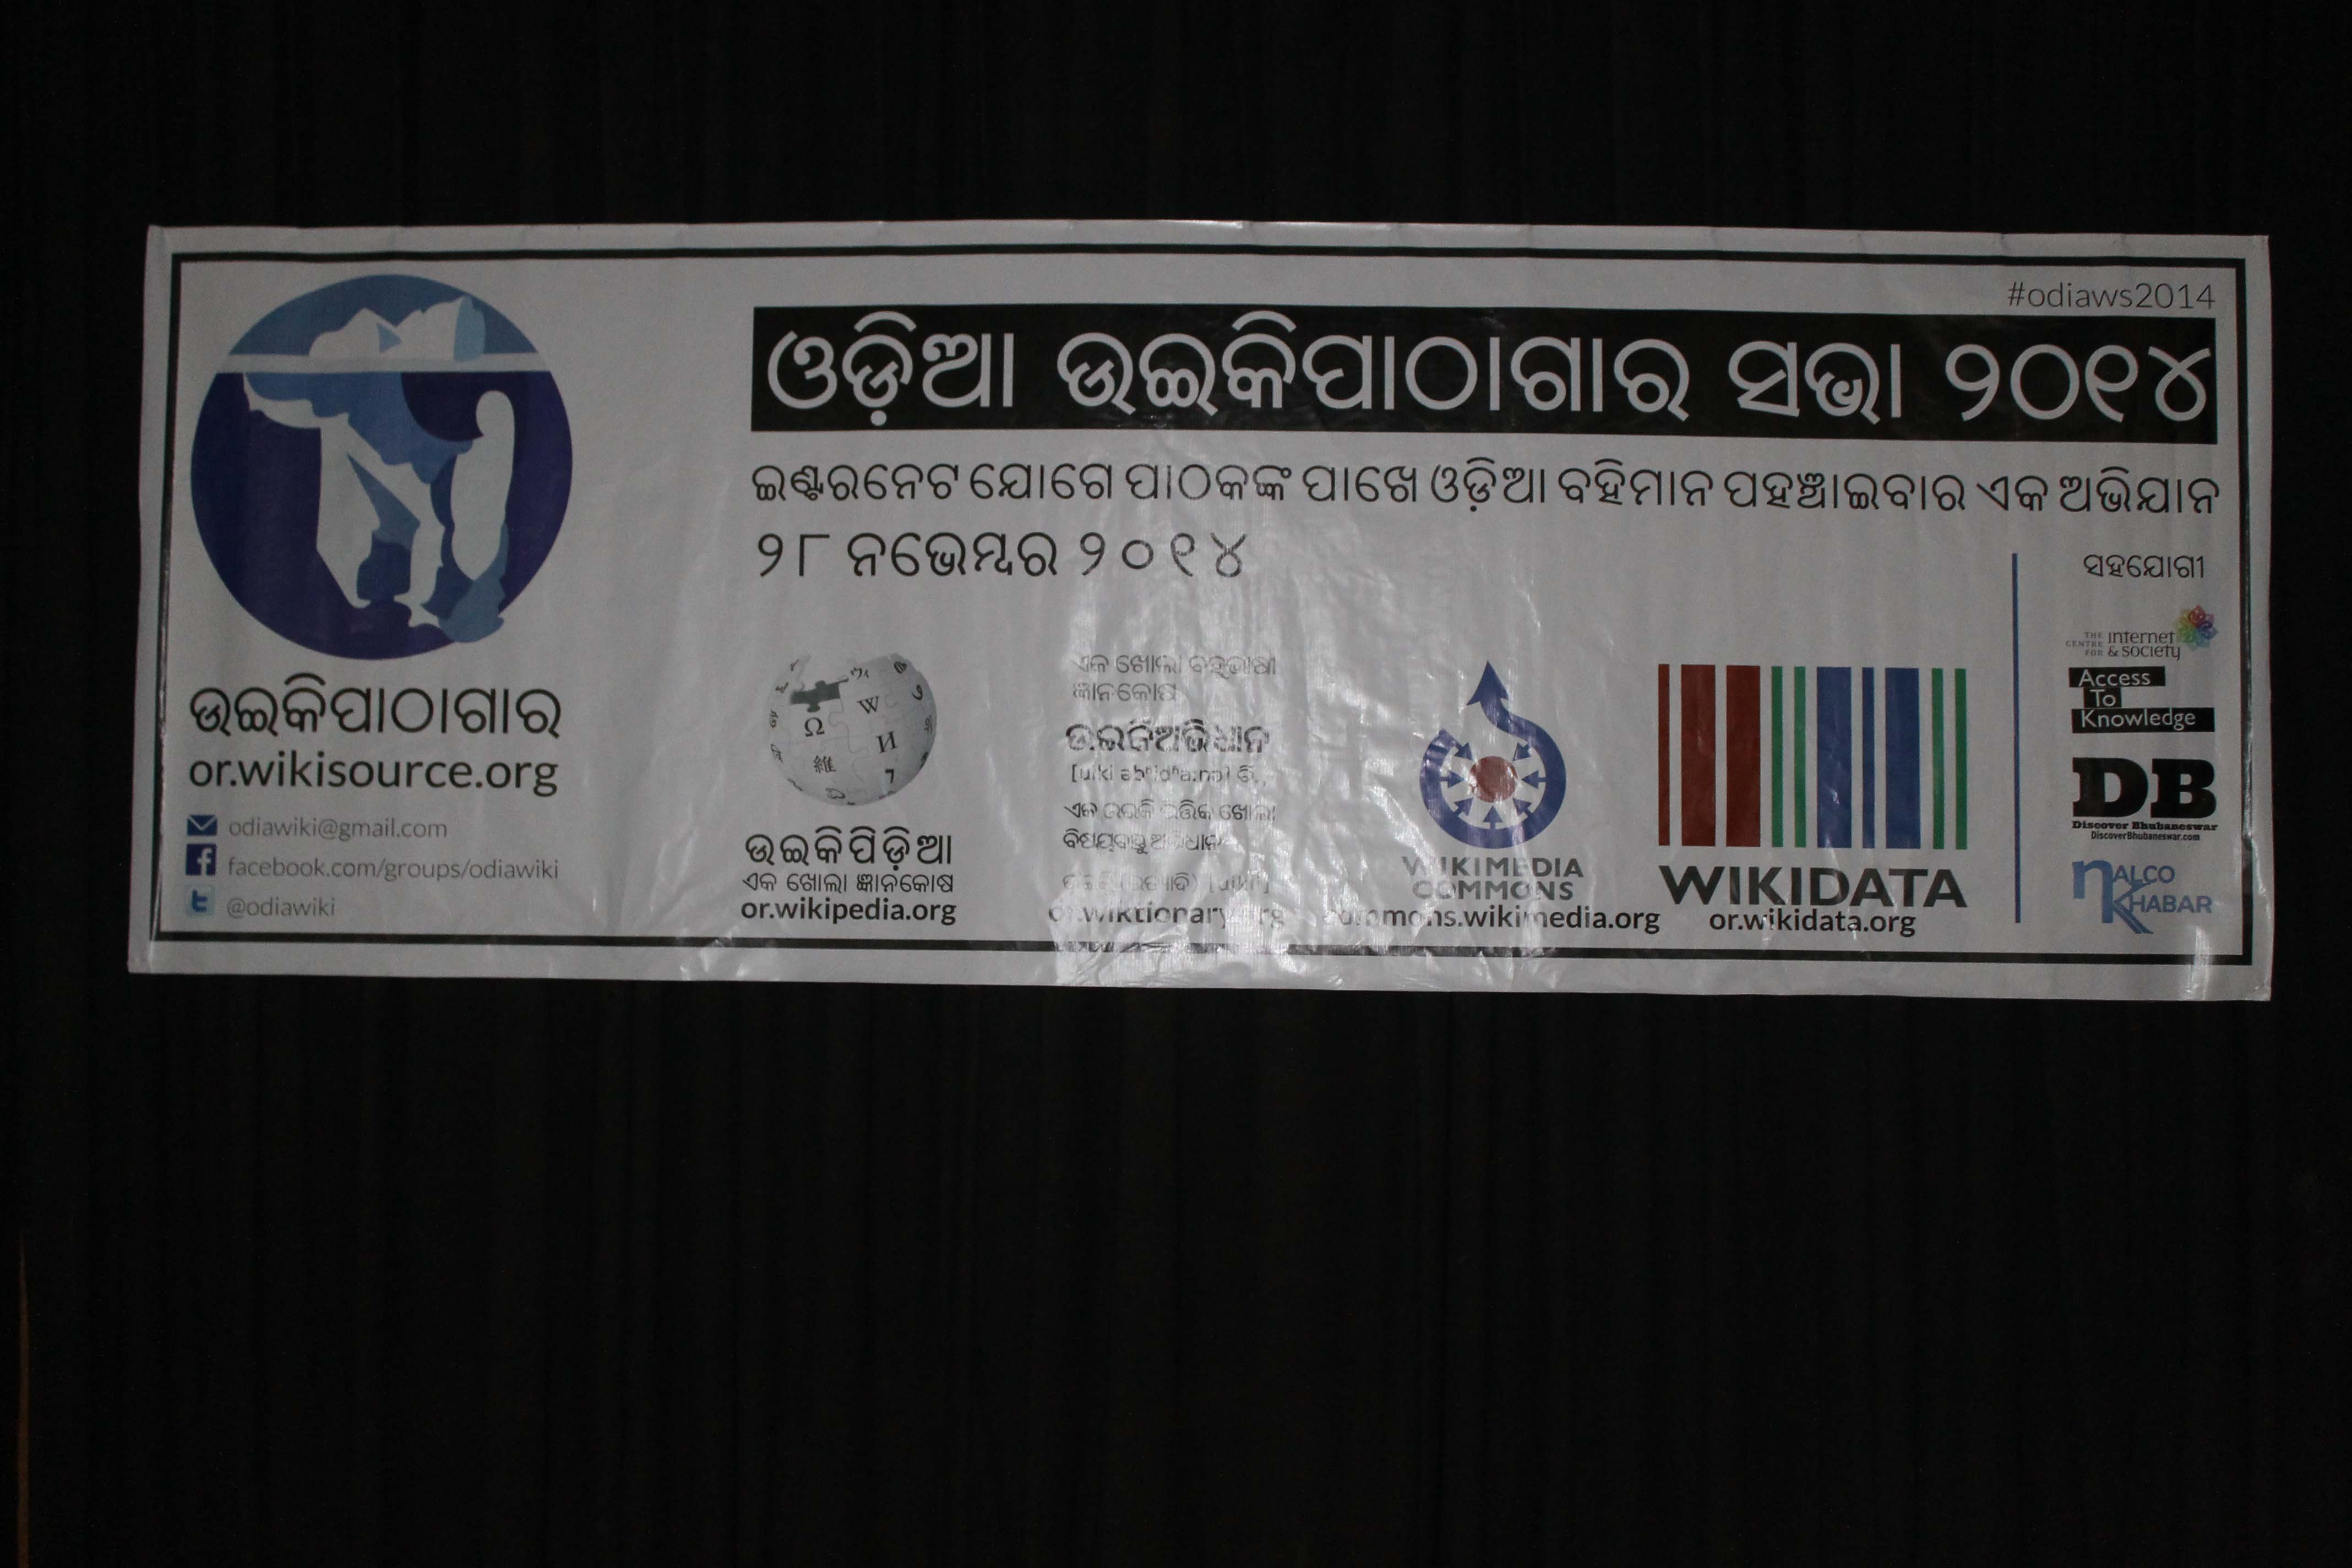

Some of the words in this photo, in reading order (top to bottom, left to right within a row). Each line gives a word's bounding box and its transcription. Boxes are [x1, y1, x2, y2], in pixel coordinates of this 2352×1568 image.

[1999, 273, 2220, 318] #odiaws2014
[760, 300, 1021, 433] ଓଡ଼ିଆ
[1046, 296, 1696, 426] ଉଇକିପାଠାଗାର
[1720, 330, 1908, 428] ସଭା
[1935, 336, 2218, 431] ୨୦୧୪
[747, 454, 965, 510] ଇଣ୍ଟରନେଟ
[961, 457, 1117, 507] ଯୋଗେ
[1115, 451, 1298, 505] ପାଠକଙ୍କ
[1296, 462, 1422, 505] ପାଖେ
[1426, 451, 1550, 521] ଓଡ଼ିଆ
[1554, 453, 1717, 515] ବ‌ହିମାନ
[1722, 461, 1977, 518] ପ‌ହଞ୍ଚାଇବାର
[1976, 465, 2054, 515] ଏକ
[2058, 465, 2222, 520] ଅଭିଯାନ
[750, 521, 1063, 581] ୨୮ ନଭେମ୍ବର
[1076, 526, 1253, 587] ୨୦୧୪
[2081, 550, 2211, 580] ସହ‌ଯୋଗୀ
[179, 662, 569, 739] ଉଇକିପାଠାଗାର
[1058, 647, 1187, 682] ଏକ ଖୋଲା
[1068, 669, 1183, 711] ଜ୍ଞାନକୋପ
[1063, 709, 1276, 762] ଉଇକିଅଭିଧାନ
[2087, 684, 2120, 714] To
[2100, 643, 2124, 662] &
[2072, 663, 2153, 692] Access
[2076, 700, 2201, 739] Knowledge
[2103, 625, 2177, 649] internet
[2117, 641, 2185, 661] society
[187, 740, 567, 802] or.wikisource.org
[1071, 749, 1124, 790] uiki
[2061, 749, 2220, 822] DB
[225, 890, 339, 922] @odiawiki
[226, 849, 381, 881] facebook.com
[222, 806, 453, 846] odiawiki@gmail.com
[378, 857, 560, 888] groups/odiawiki
[741, 865, 780, 895] ଏକ
[781, 863, 851, 895] ଖୋଲା
[738, 819, 958, 874] ଉଇକିପିଡ଼ିଆ
[740, 892, 961, 932] or.wikipedia.org
[852, 868, 957, 896] ଜ୍ଞାନକୋଷ
[1057, 792, 1159, 824] ଏକ ଉଇକି
[1056, 821, 1174, 859] ବିଷୟବସ୍ତୁ ଅ
[1146, 795, 1283, 829] ଇଭିକ ଖୋଲା
[1396, 868, 1578, 904] COMMONS
[1393, 853, 1588, 879] WIKIMEDIA
[1330, 893, 1663, 939] commons.wikimedia.org
[1705, 903, 1919, 944] or.wikidata.org
[1656, 858, 1973, 911] WIKIDATA
[2068, 815, 2132, 831] Discover
[2068, 857, 2181, 925] nALCO
[2101, 875, 2216, 938] KHABAR
[2130, 815, 2225, 834] Bhubaneswar